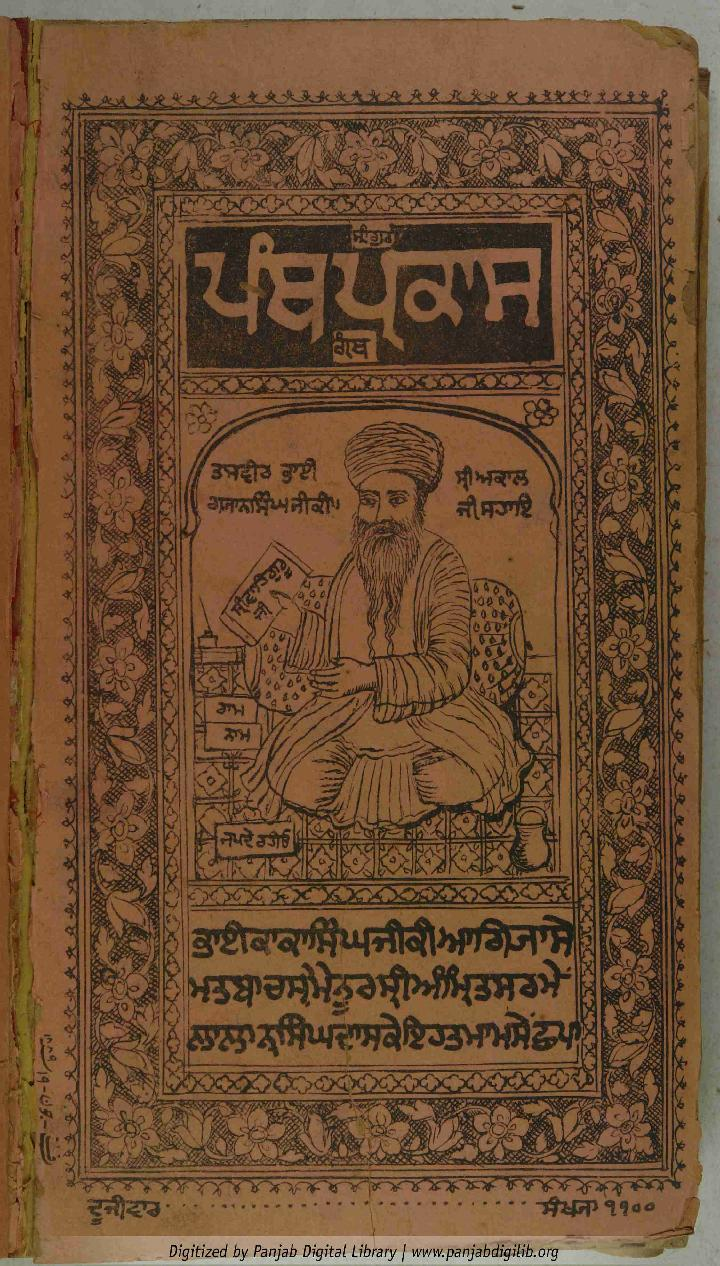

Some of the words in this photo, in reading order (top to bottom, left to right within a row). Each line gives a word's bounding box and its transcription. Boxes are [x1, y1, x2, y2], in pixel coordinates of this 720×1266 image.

[181, 226, 553, 354] ਪੰਥਪਕਸ
[332, 330, 377, 362] ਗ੍ੰਬ
[206, 456, 277, 489] ਤਸਵੀਰ
[276, 449, 325, 487] ਭਾਈ
[451, 457, 474, 495] ਸ੍ਰੀ
[474, 463, 533, 492] ਅਕਾਲ
[202, 485, 348, 521] ਗਯਾਨਸਿੰਘਜੀਕੀ"
[451, 492, 484, 530] ਜੀ
[479, 489, 539, 522] ਸਹਾਇ
[225, 549, 301, 621] ਸ੍ਰੀਵਾਹਿਗੁਰੂ
[247, 594, 278, 628] ਜੀ
[213, 697, 252, 720] ਰਾਮ
[221, 722, 254, 747] ਨਾਮ
[216, 825, 257, 851] ਜਪਦੇ
[253, 825, 295, 851] ਰਹੀਓ
[186, 911, 576, 967] ਭਾਈਕਾਕਾਸਿੰਘਜੀਕੀਆਗਿਯਾਸੇ
[183, 955, 579, 1020] ਮਤਬਾਚਸ੍ਮੇਨੂਰਸੀ੍ਅੰਮਿ੍ਤਸਰਮੇਂ
[185, 1003, 589, 1063] ਲਾਲਾਨ੍ਸਿੰਘਦਾਸਕੇਇਹਤਮਾਮਸੇਛਪਾ
[76, 1192, 167, 1227] ਦੂਜੀਵਾਰ
[531, 1191, 603, 1225] ਸੰਖਯਾ
[599, 1195, 665, 1221] ੧੧੦੦
[161, 1239, 232, 1265] Digitized
[229, 1238, 253, 1265] by
[249, 1239, 301, 1265] Panjab
[299, 1239, 353, 1265] Digital
[348, 1239, 403, 1265] Library
[409, 1240, 565, 1263] www.panjabdigilib.org